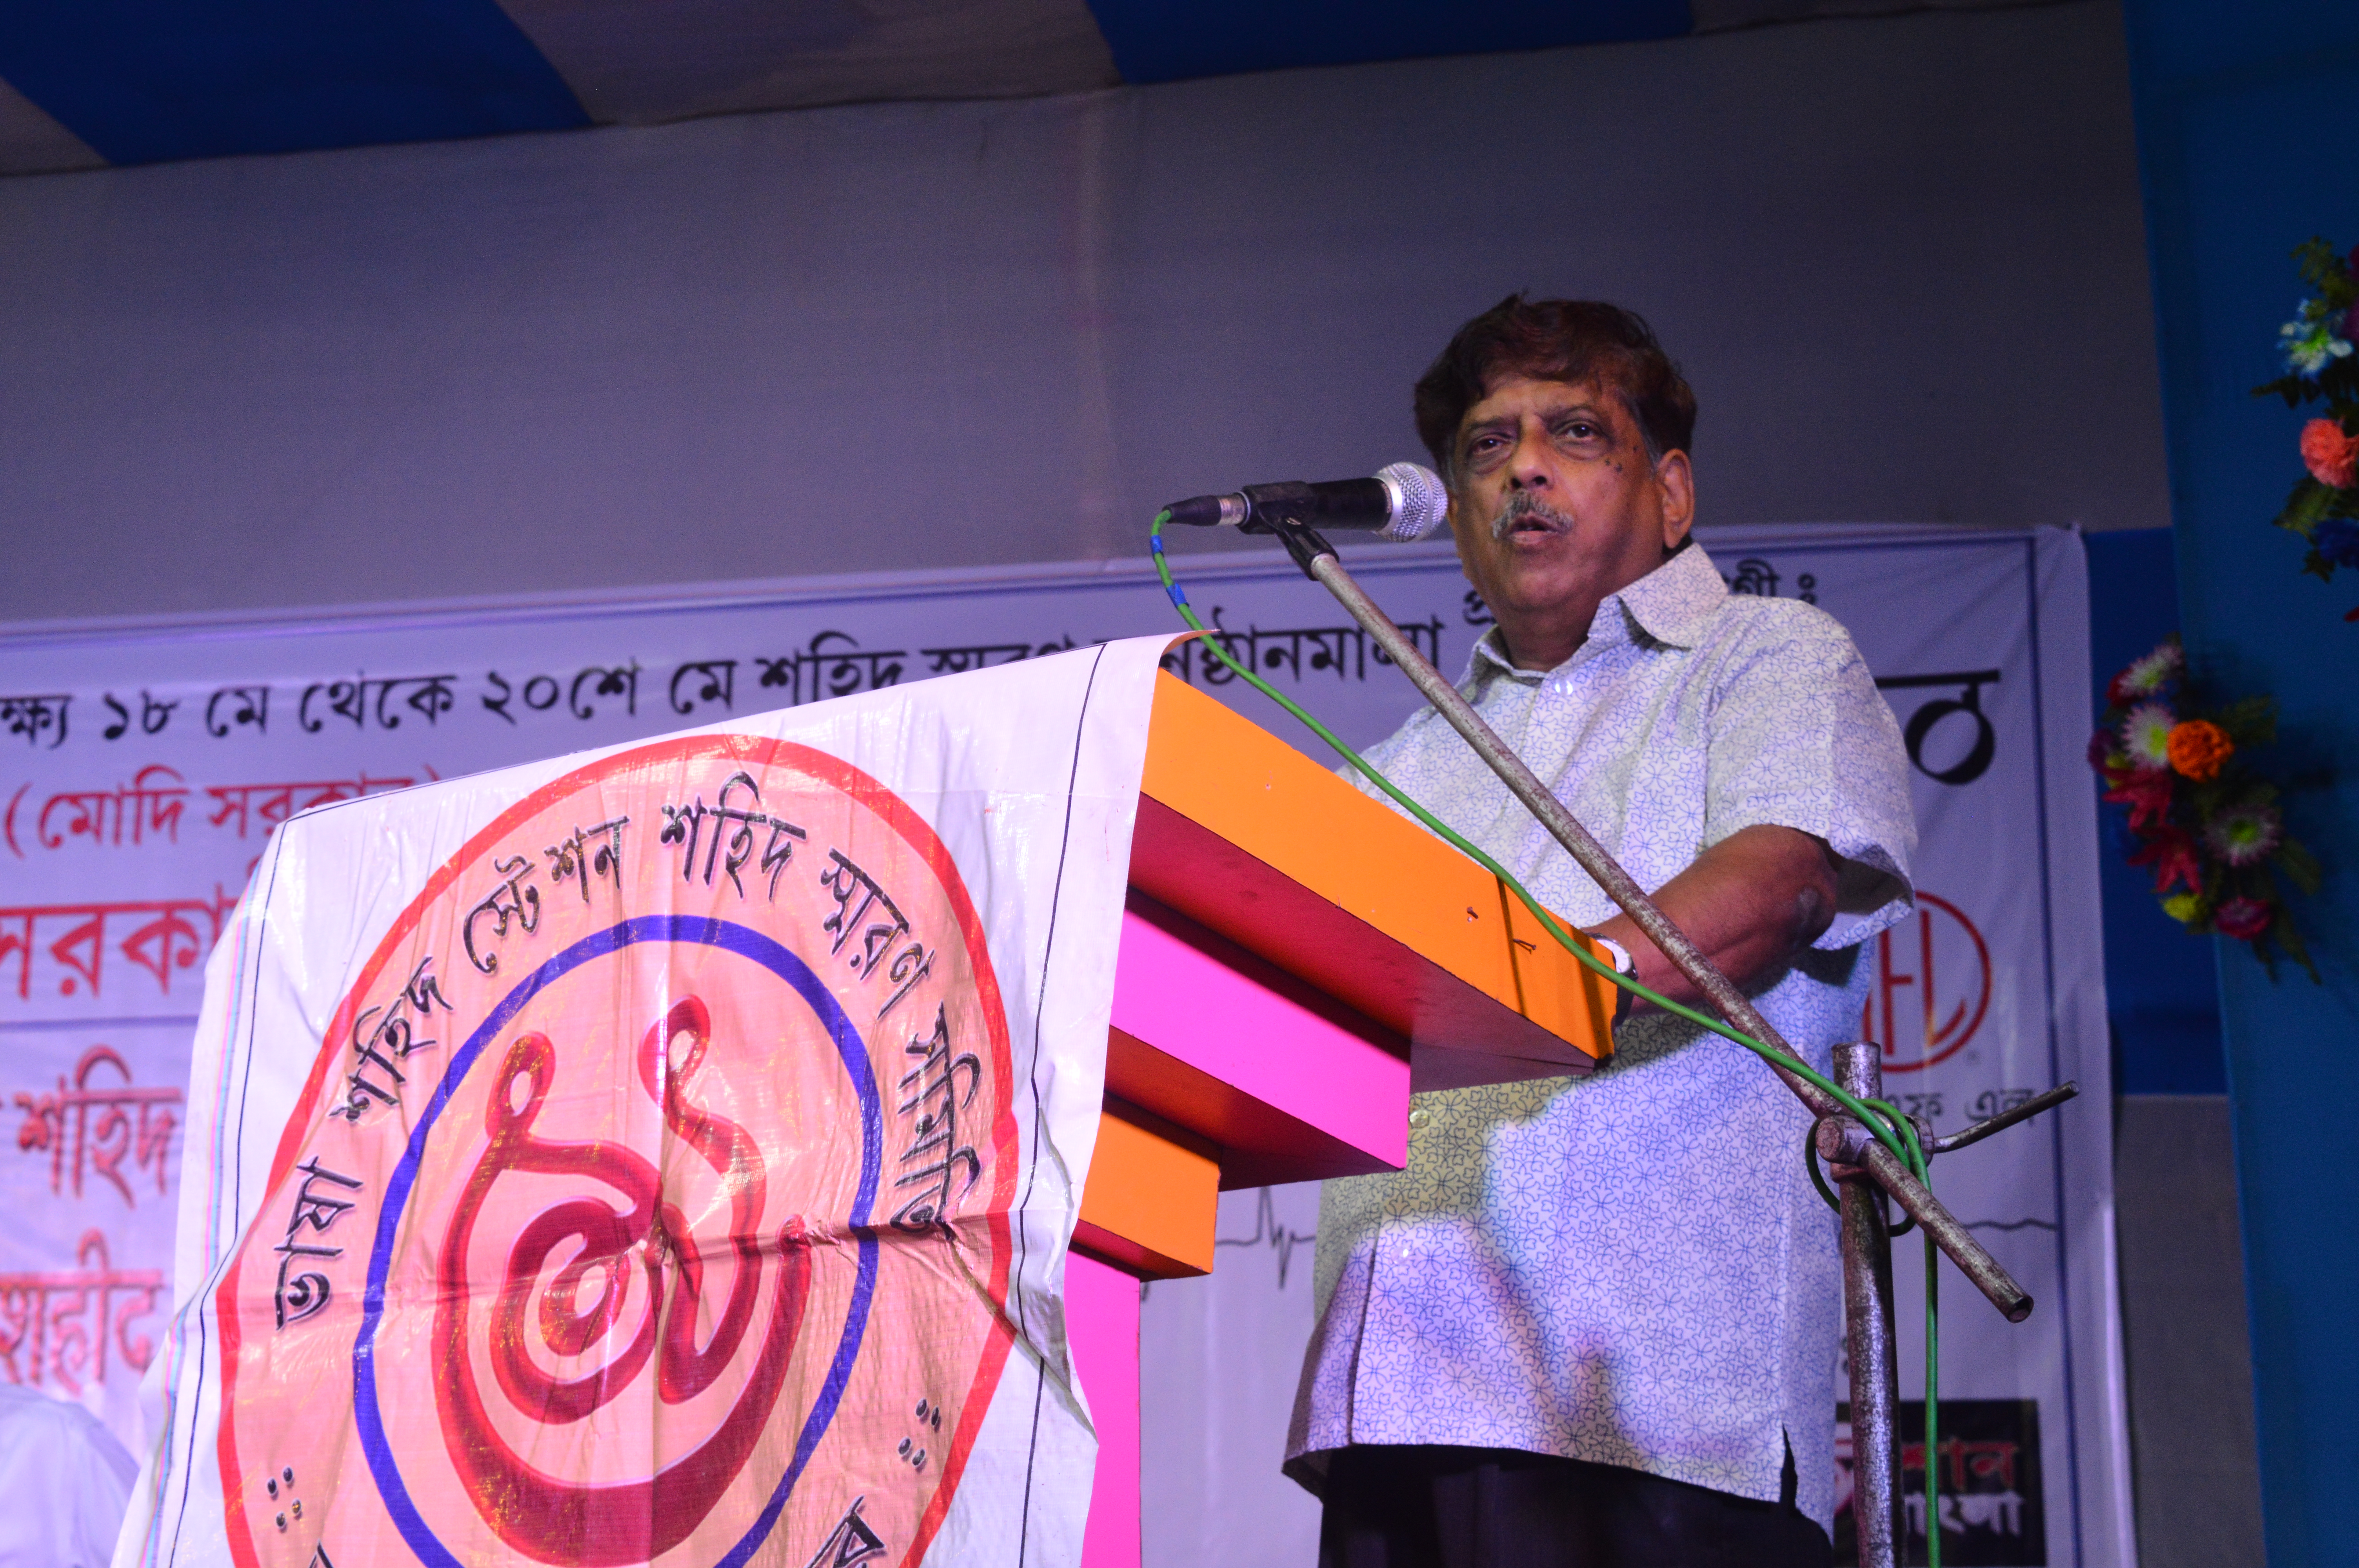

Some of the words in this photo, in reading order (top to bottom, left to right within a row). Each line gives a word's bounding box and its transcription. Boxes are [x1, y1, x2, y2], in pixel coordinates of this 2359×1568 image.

[0, 682, 72, 748] ক্ষ্য
[93, 682, 190, 751] ১৮
[183, 675, 274, 737] মে
[293, 662, 457, 737] থেকে
[474, 650, 647, 729] ২০শে
[659, 648, 735, 718] মে
[32, 756, 197, 858] মোদি
[458, 811, 634, 980] স্টেশন
[654, 763, 814, 906] শহিদ
[812, 842, 937, 1025] স্মরণ
[320, 952, 461, 1127] শহিদ
[14, 1032, 191, 1220] শহিদ
[887, 999, 987, 1245] সমিতি
[3, 1221, 169, 1407] शहीद
[262, 1153, 366, 1334] ভাষা